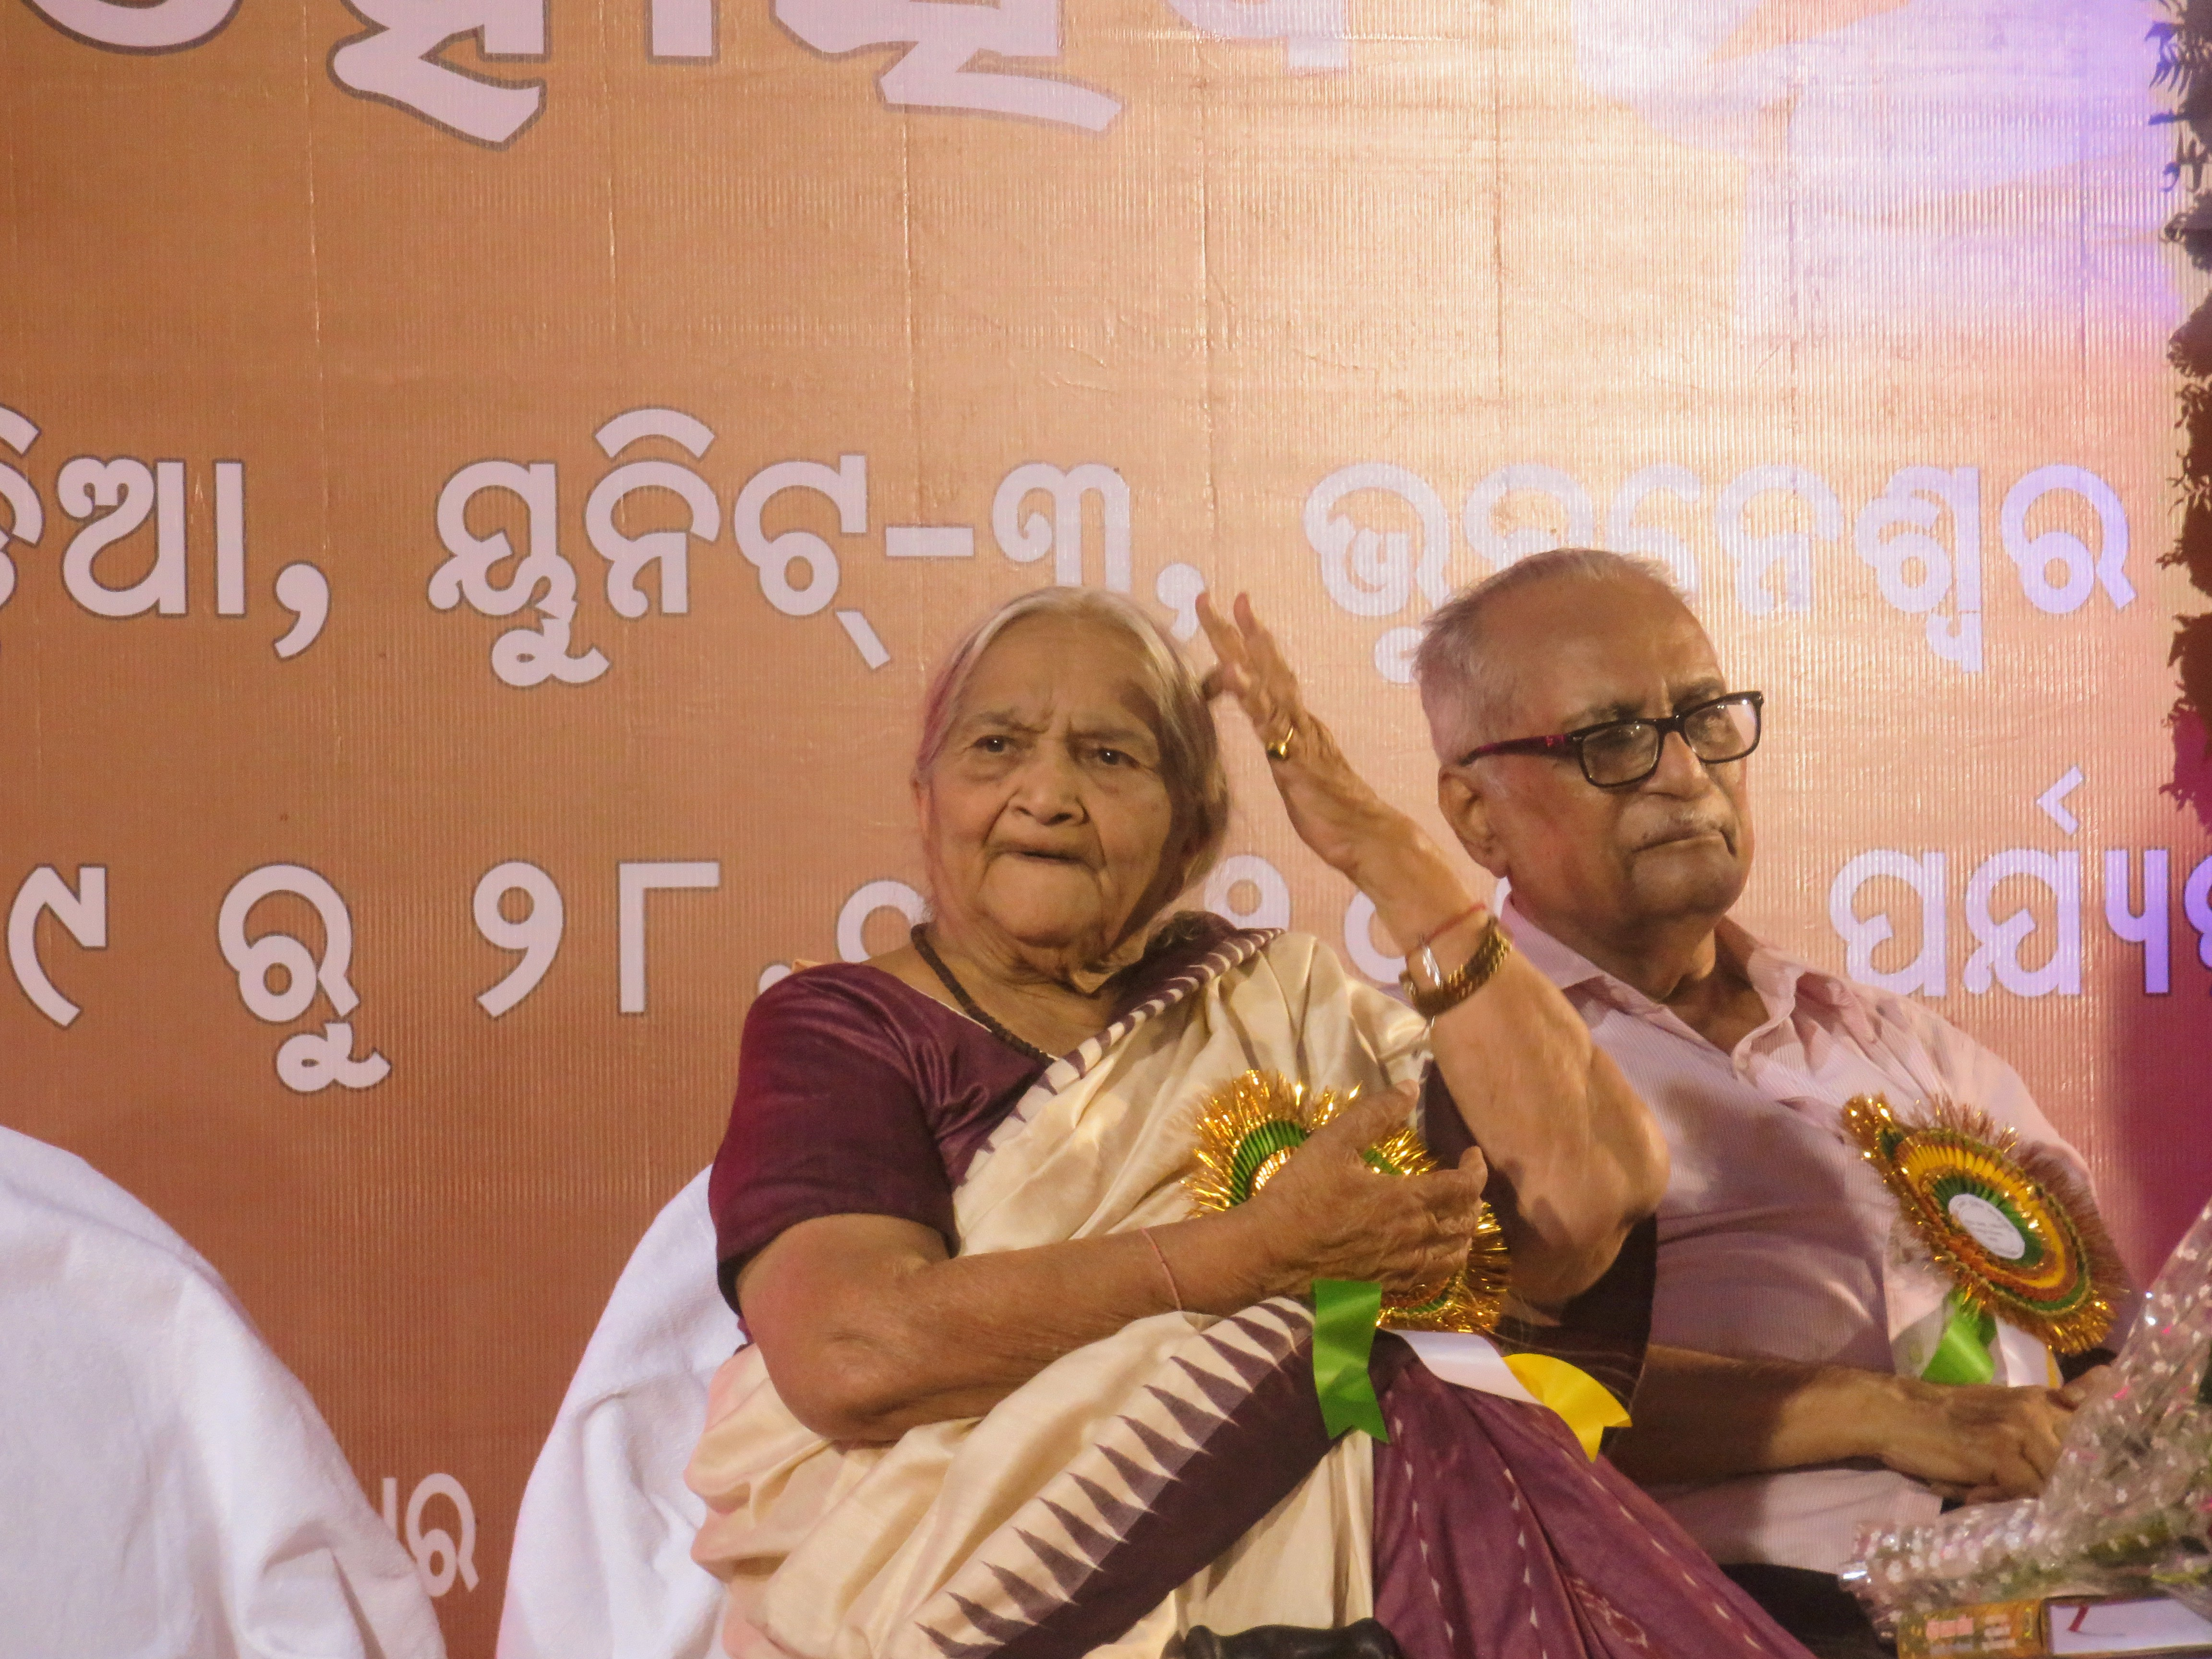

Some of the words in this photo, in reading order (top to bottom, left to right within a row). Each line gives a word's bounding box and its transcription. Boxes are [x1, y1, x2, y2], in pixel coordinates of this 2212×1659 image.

[2, 405, 251, 623] ଆ
[417, 402, 900, 701] ୟୁନିଟ୍
[975, 452, 1138, 607] ୩
[1290, 453, 2148, 694] ଭୁବନେଶ୍ବର
[212, 829, 732, 1125] ରୁ ୨୮
[1816, 760, 2173, 1001] ପର୍ଯ୍ଯ